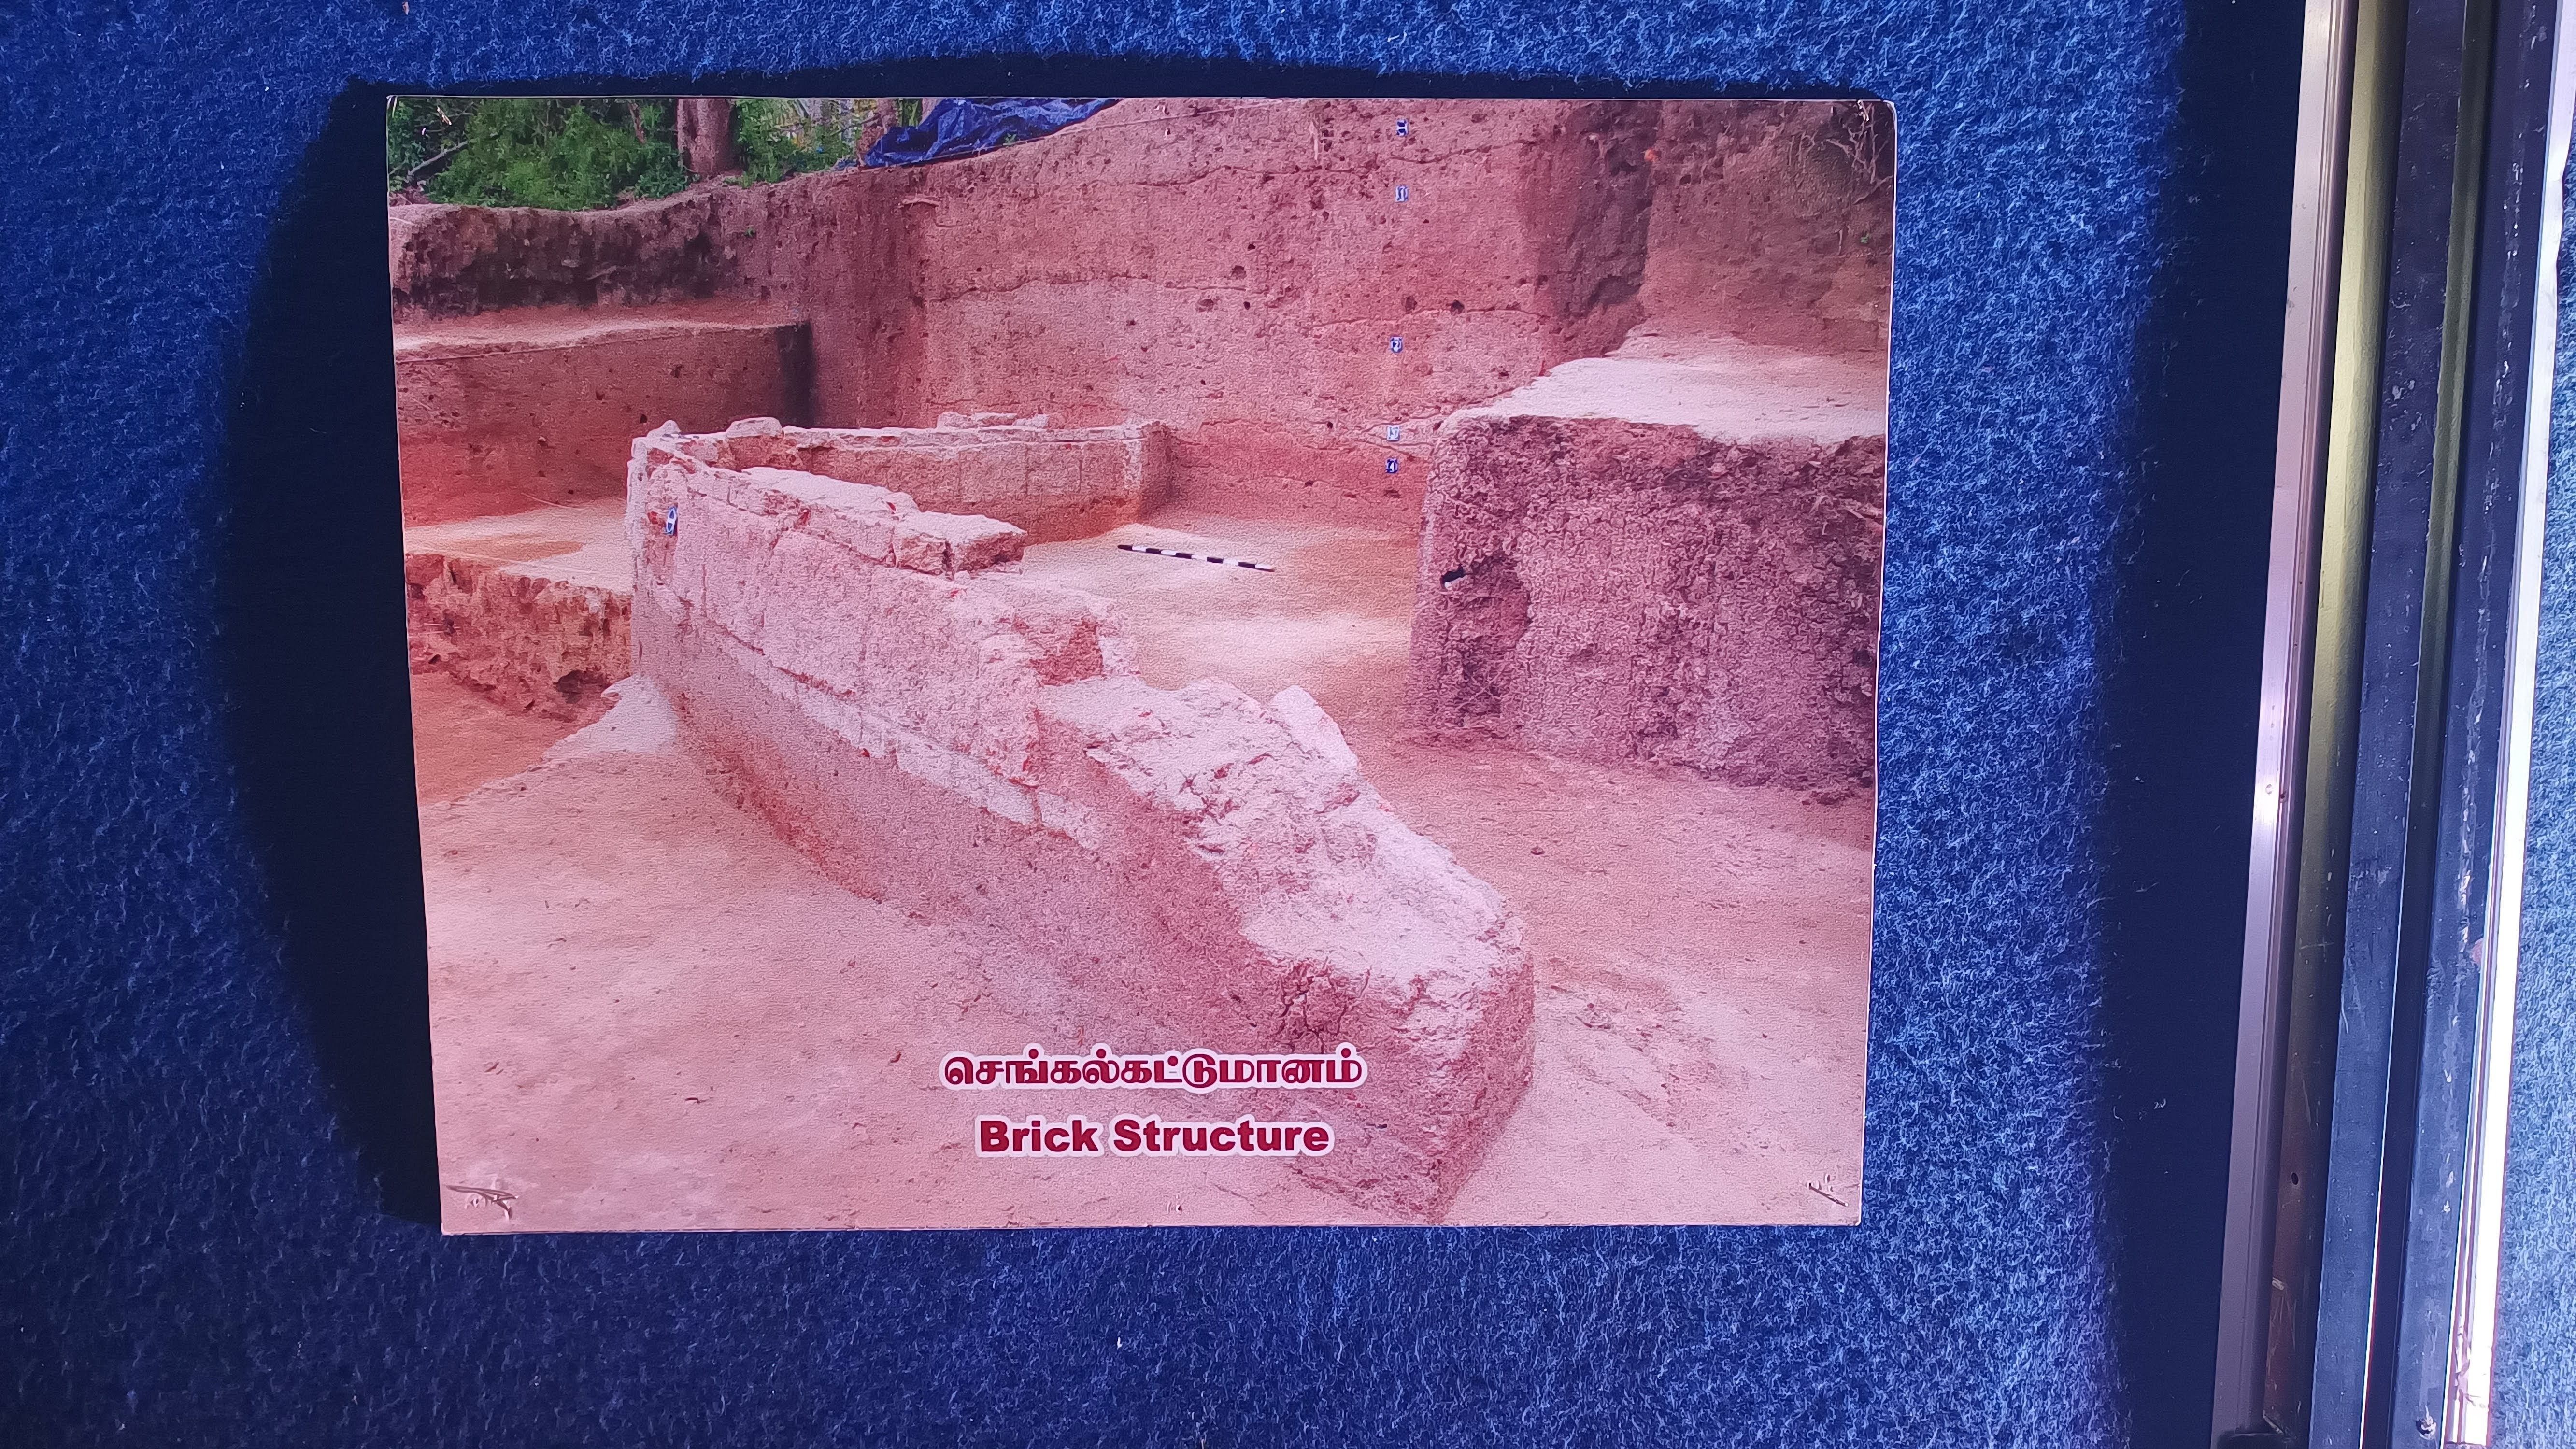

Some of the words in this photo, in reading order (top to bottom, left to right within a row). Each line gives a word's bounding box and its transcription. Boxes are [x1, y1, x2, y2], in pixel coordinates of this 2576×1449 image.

[933, 1039, 1370, 1098] செங்கல்கட்டுமானம்
[978, 1109, 1106, 1160] Brick
[1106, 1104, 1339, 1161] Structure